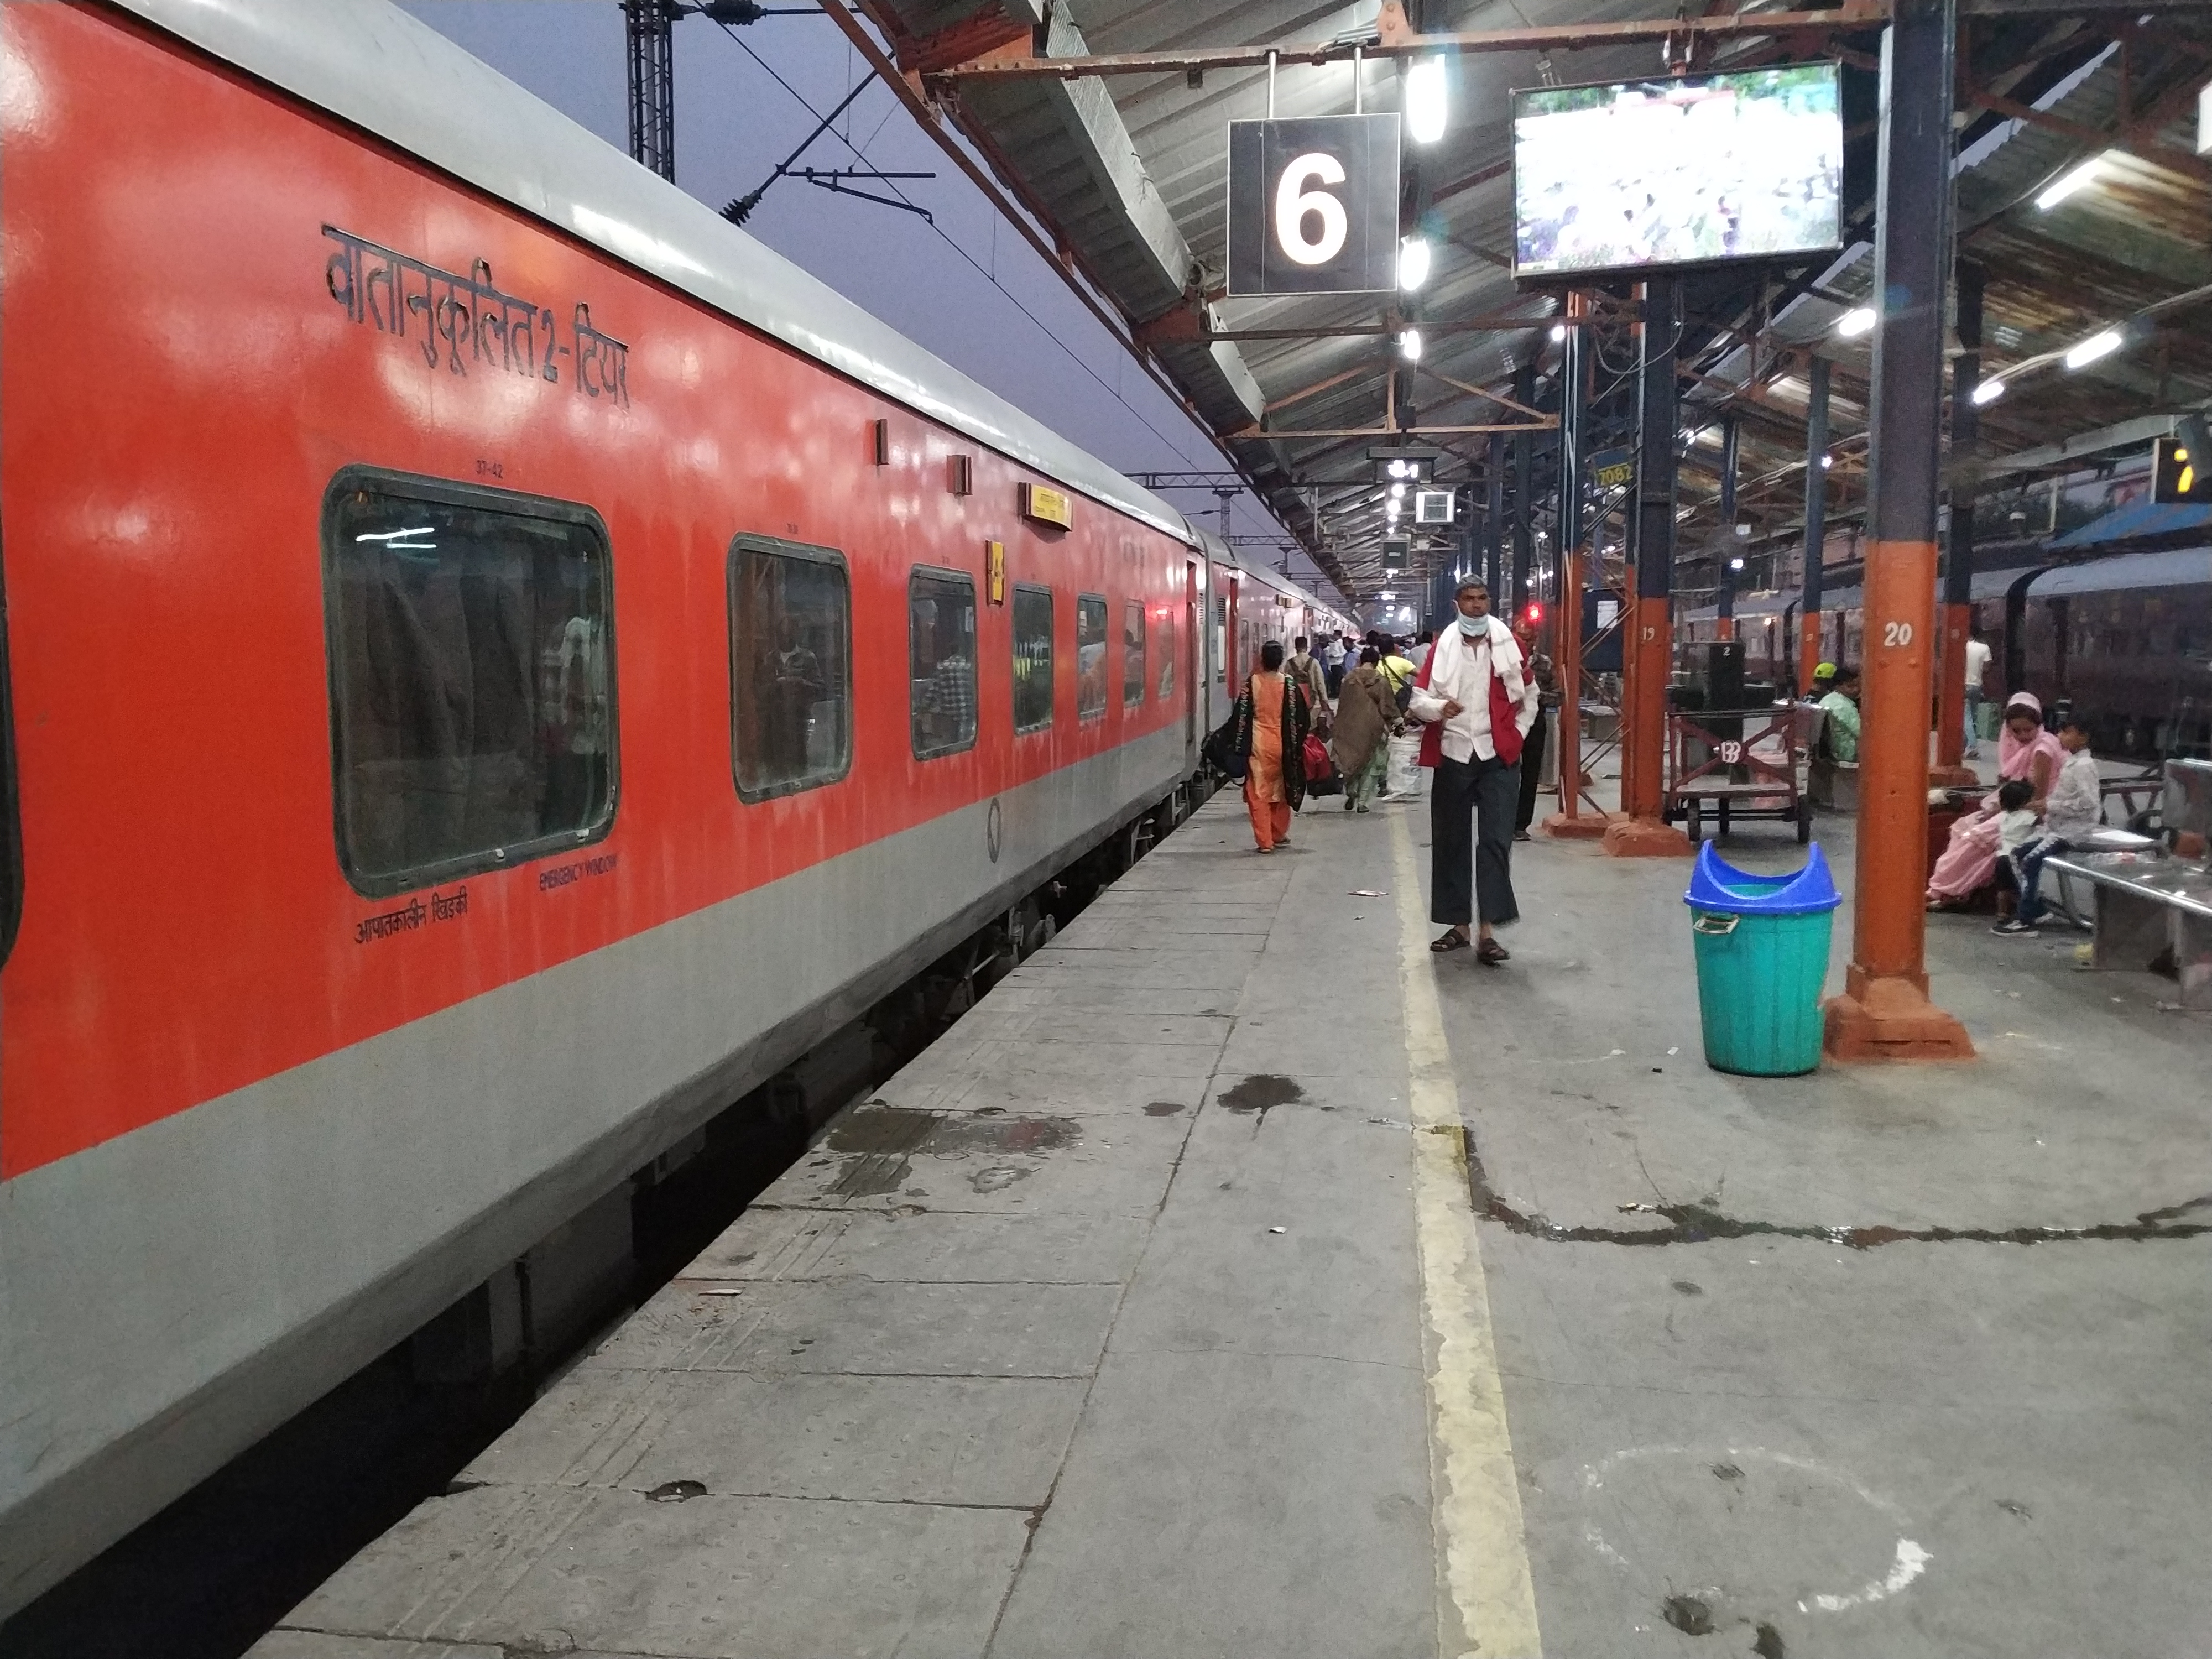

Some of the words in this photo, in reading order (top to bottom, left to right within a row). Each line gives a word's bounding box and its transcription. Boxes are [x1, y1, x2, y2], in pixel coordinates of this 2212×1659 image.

[1275, 148, 1349, 266] 6
[321, 224, 560, 383] वातानुकूलित 2
[570, 300, 631, 413] टियर
[352, 896, 429, 945] आपातकालीन
[429, 884, 469, 923] खिडकी
[536, 860, 586, 892] EMERGENCY